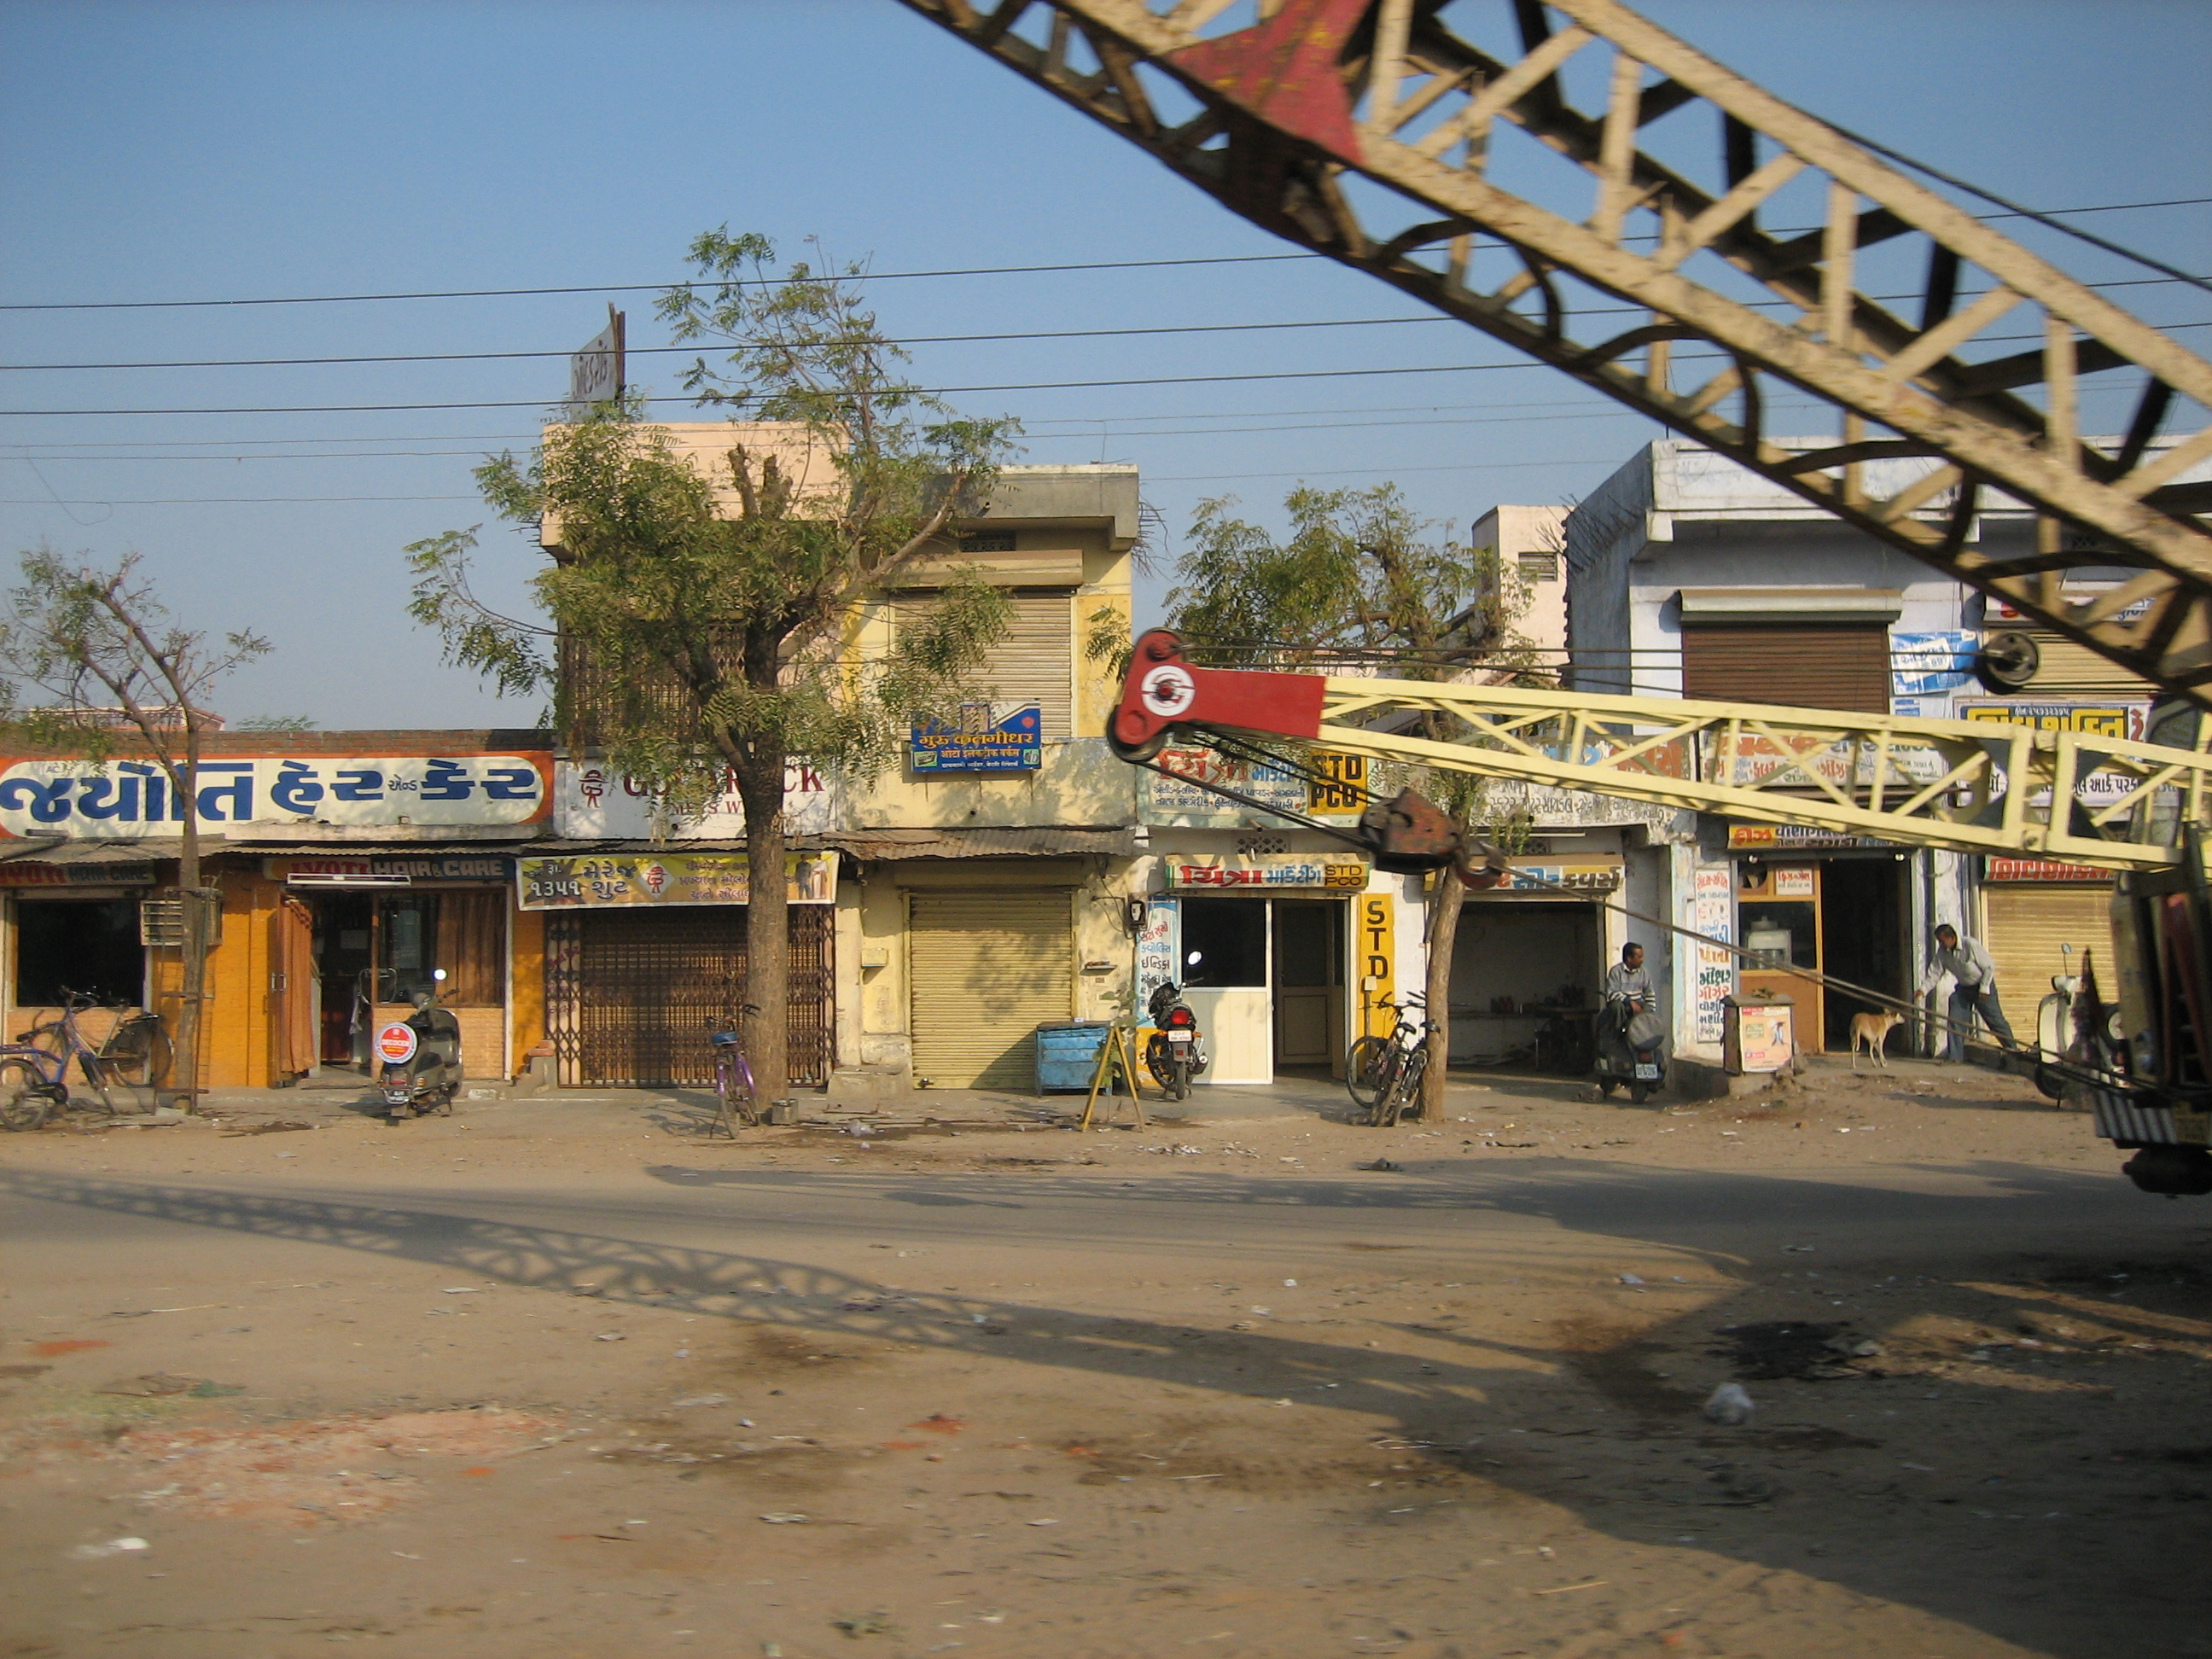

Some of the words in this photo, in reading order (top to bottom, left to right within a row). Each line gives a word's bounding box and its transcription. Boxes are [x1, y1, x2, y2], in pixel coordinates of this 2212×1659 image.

[1398, 228, 2067, 595] 41442
[15, 773, 265, 820] ૪યાત
[270, 769, 368, 814] હર